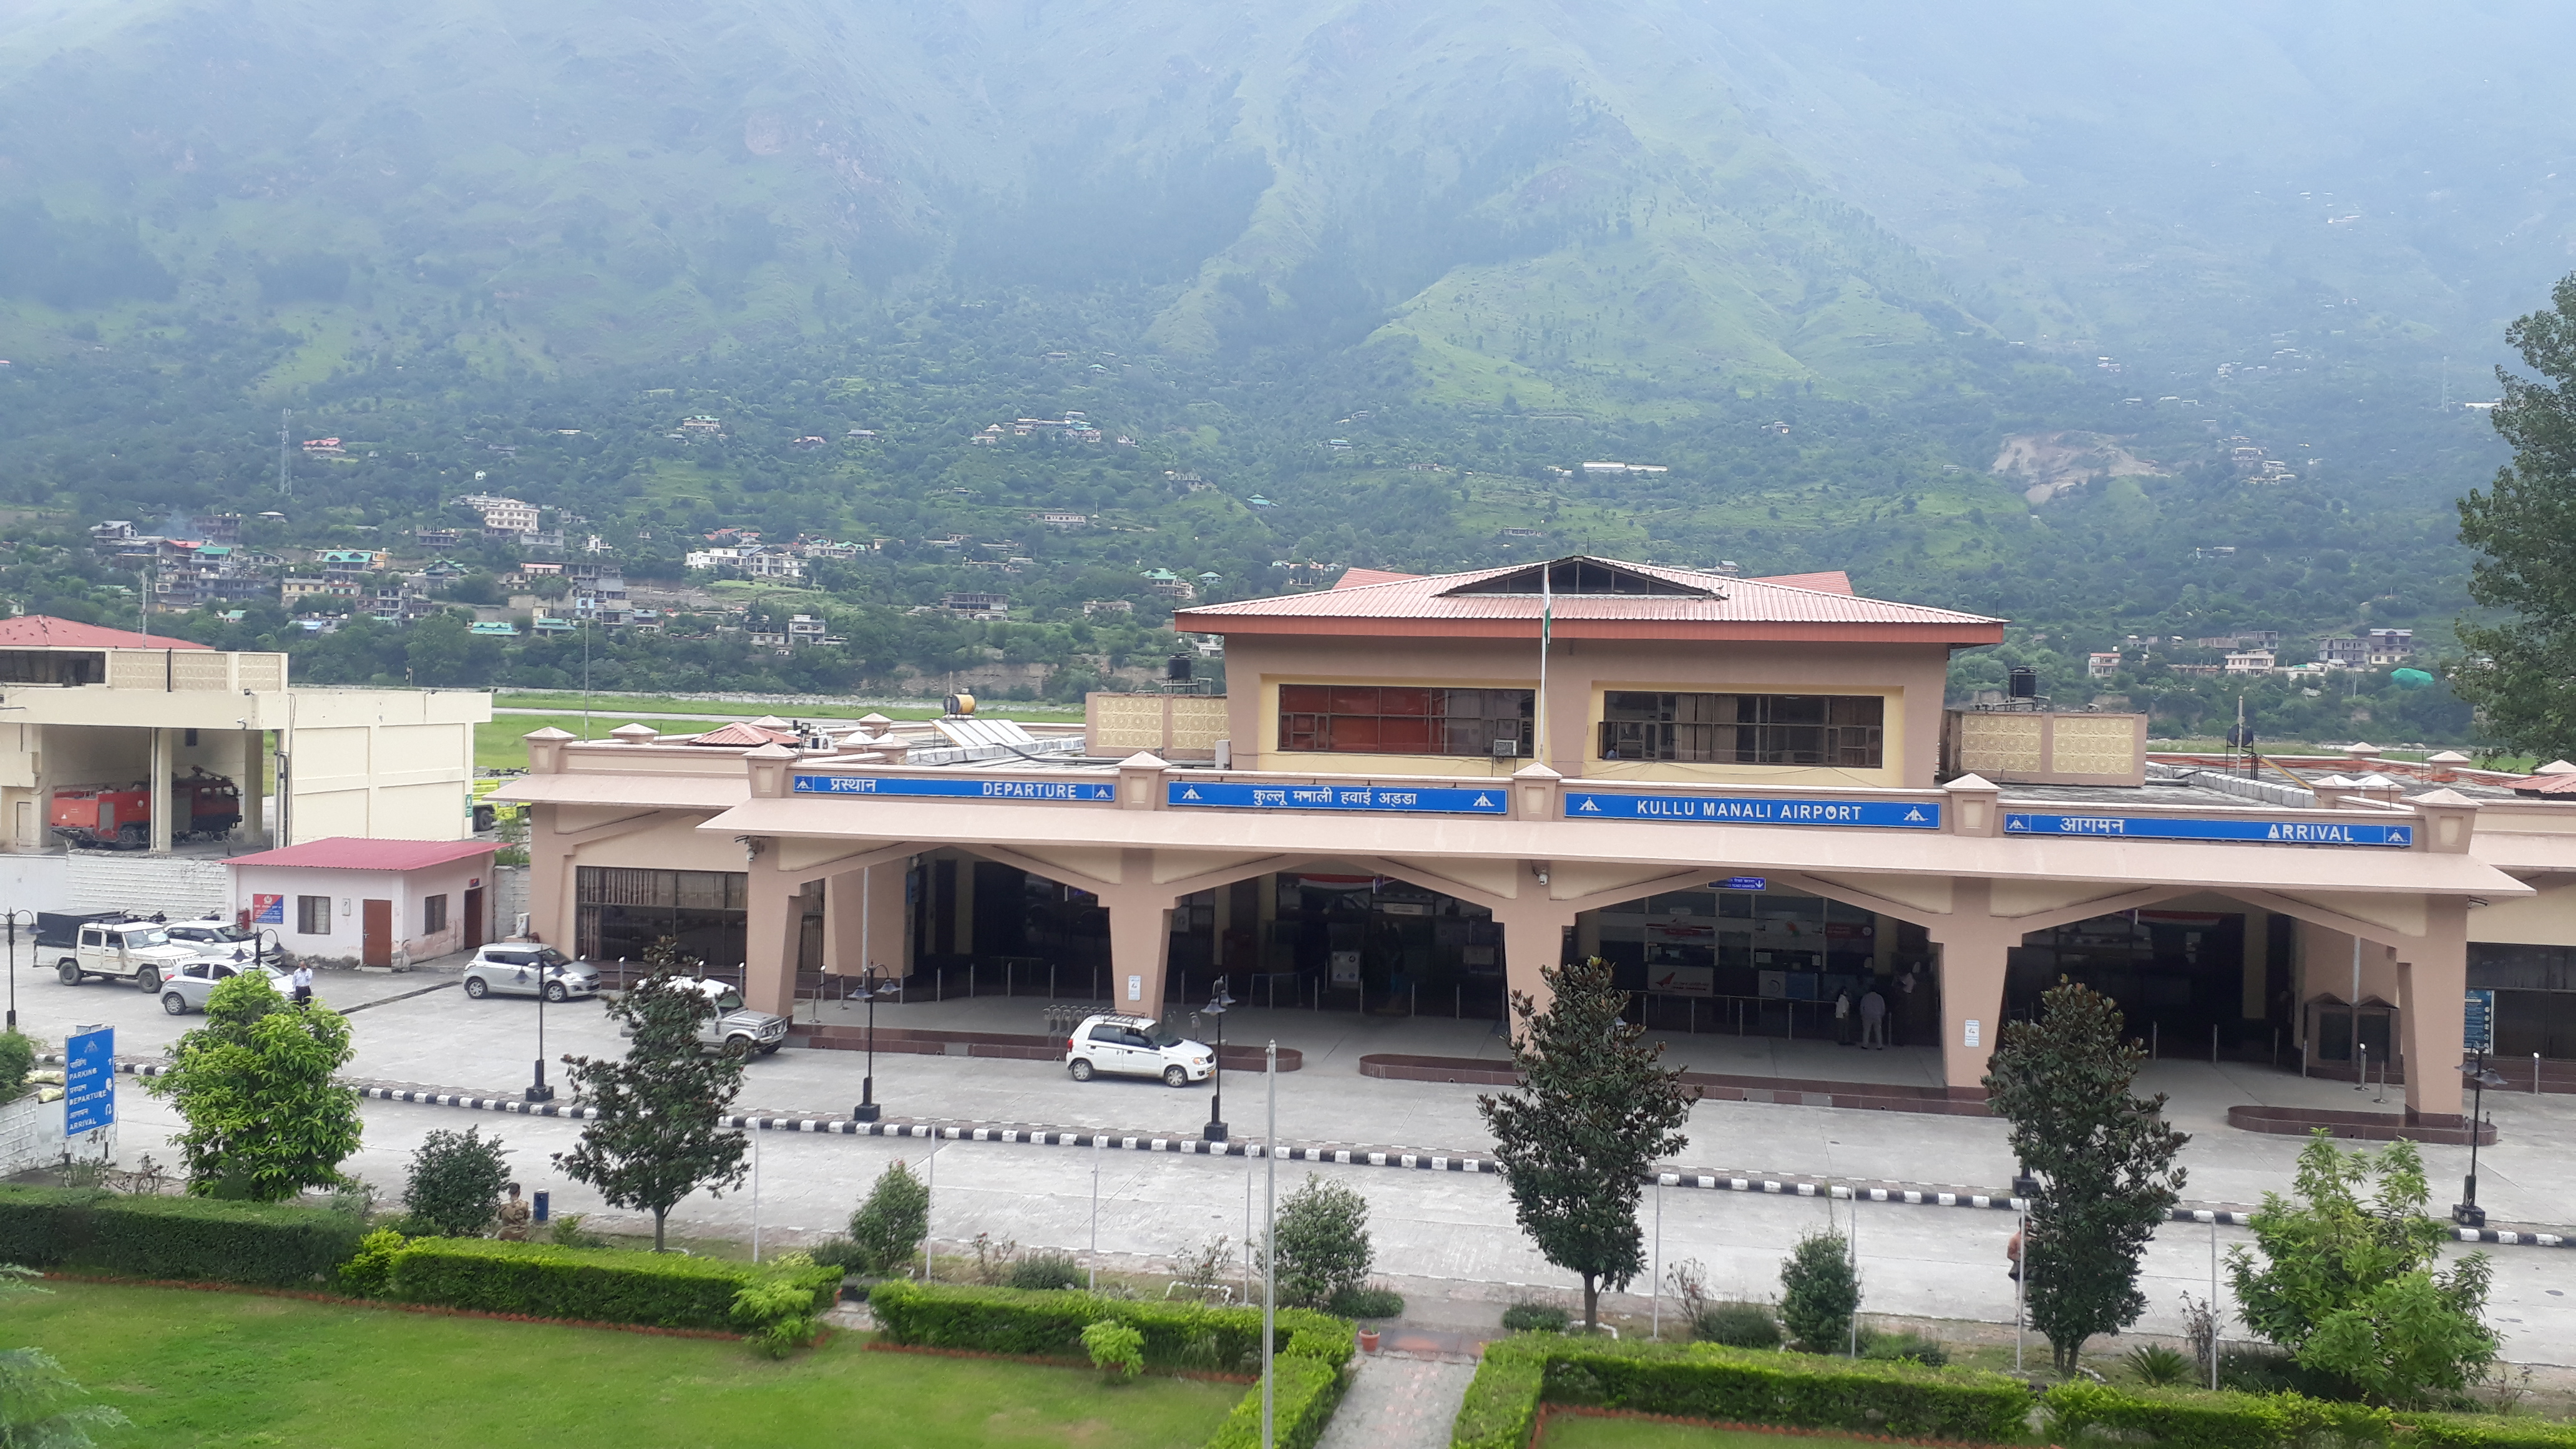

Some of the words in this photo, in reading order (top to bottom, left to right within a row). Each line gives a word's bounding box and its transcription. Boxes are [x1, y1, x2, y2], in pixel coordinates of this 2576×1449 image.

[828, 774, 879, 793] प्रस्‍थान
[982, 779, 1078, 801] DEPARTURE
[1251, 786, 1290, 808] कुल्लू
[1292, 783, 1335, 804] मनाली
[1340, 784, 1374, 806] हवाई
[1376, 788, 1420, 811] अड्डा
[1636, 798, 1697, 819] KULLU
[1699, 799, 1774, 820] MANALI
[1776, 801, 1863, 823] AIRPORT
[2057, 812, 2129, 836] आगमन
[2265, 821, 2356, 844] ARRIVAL